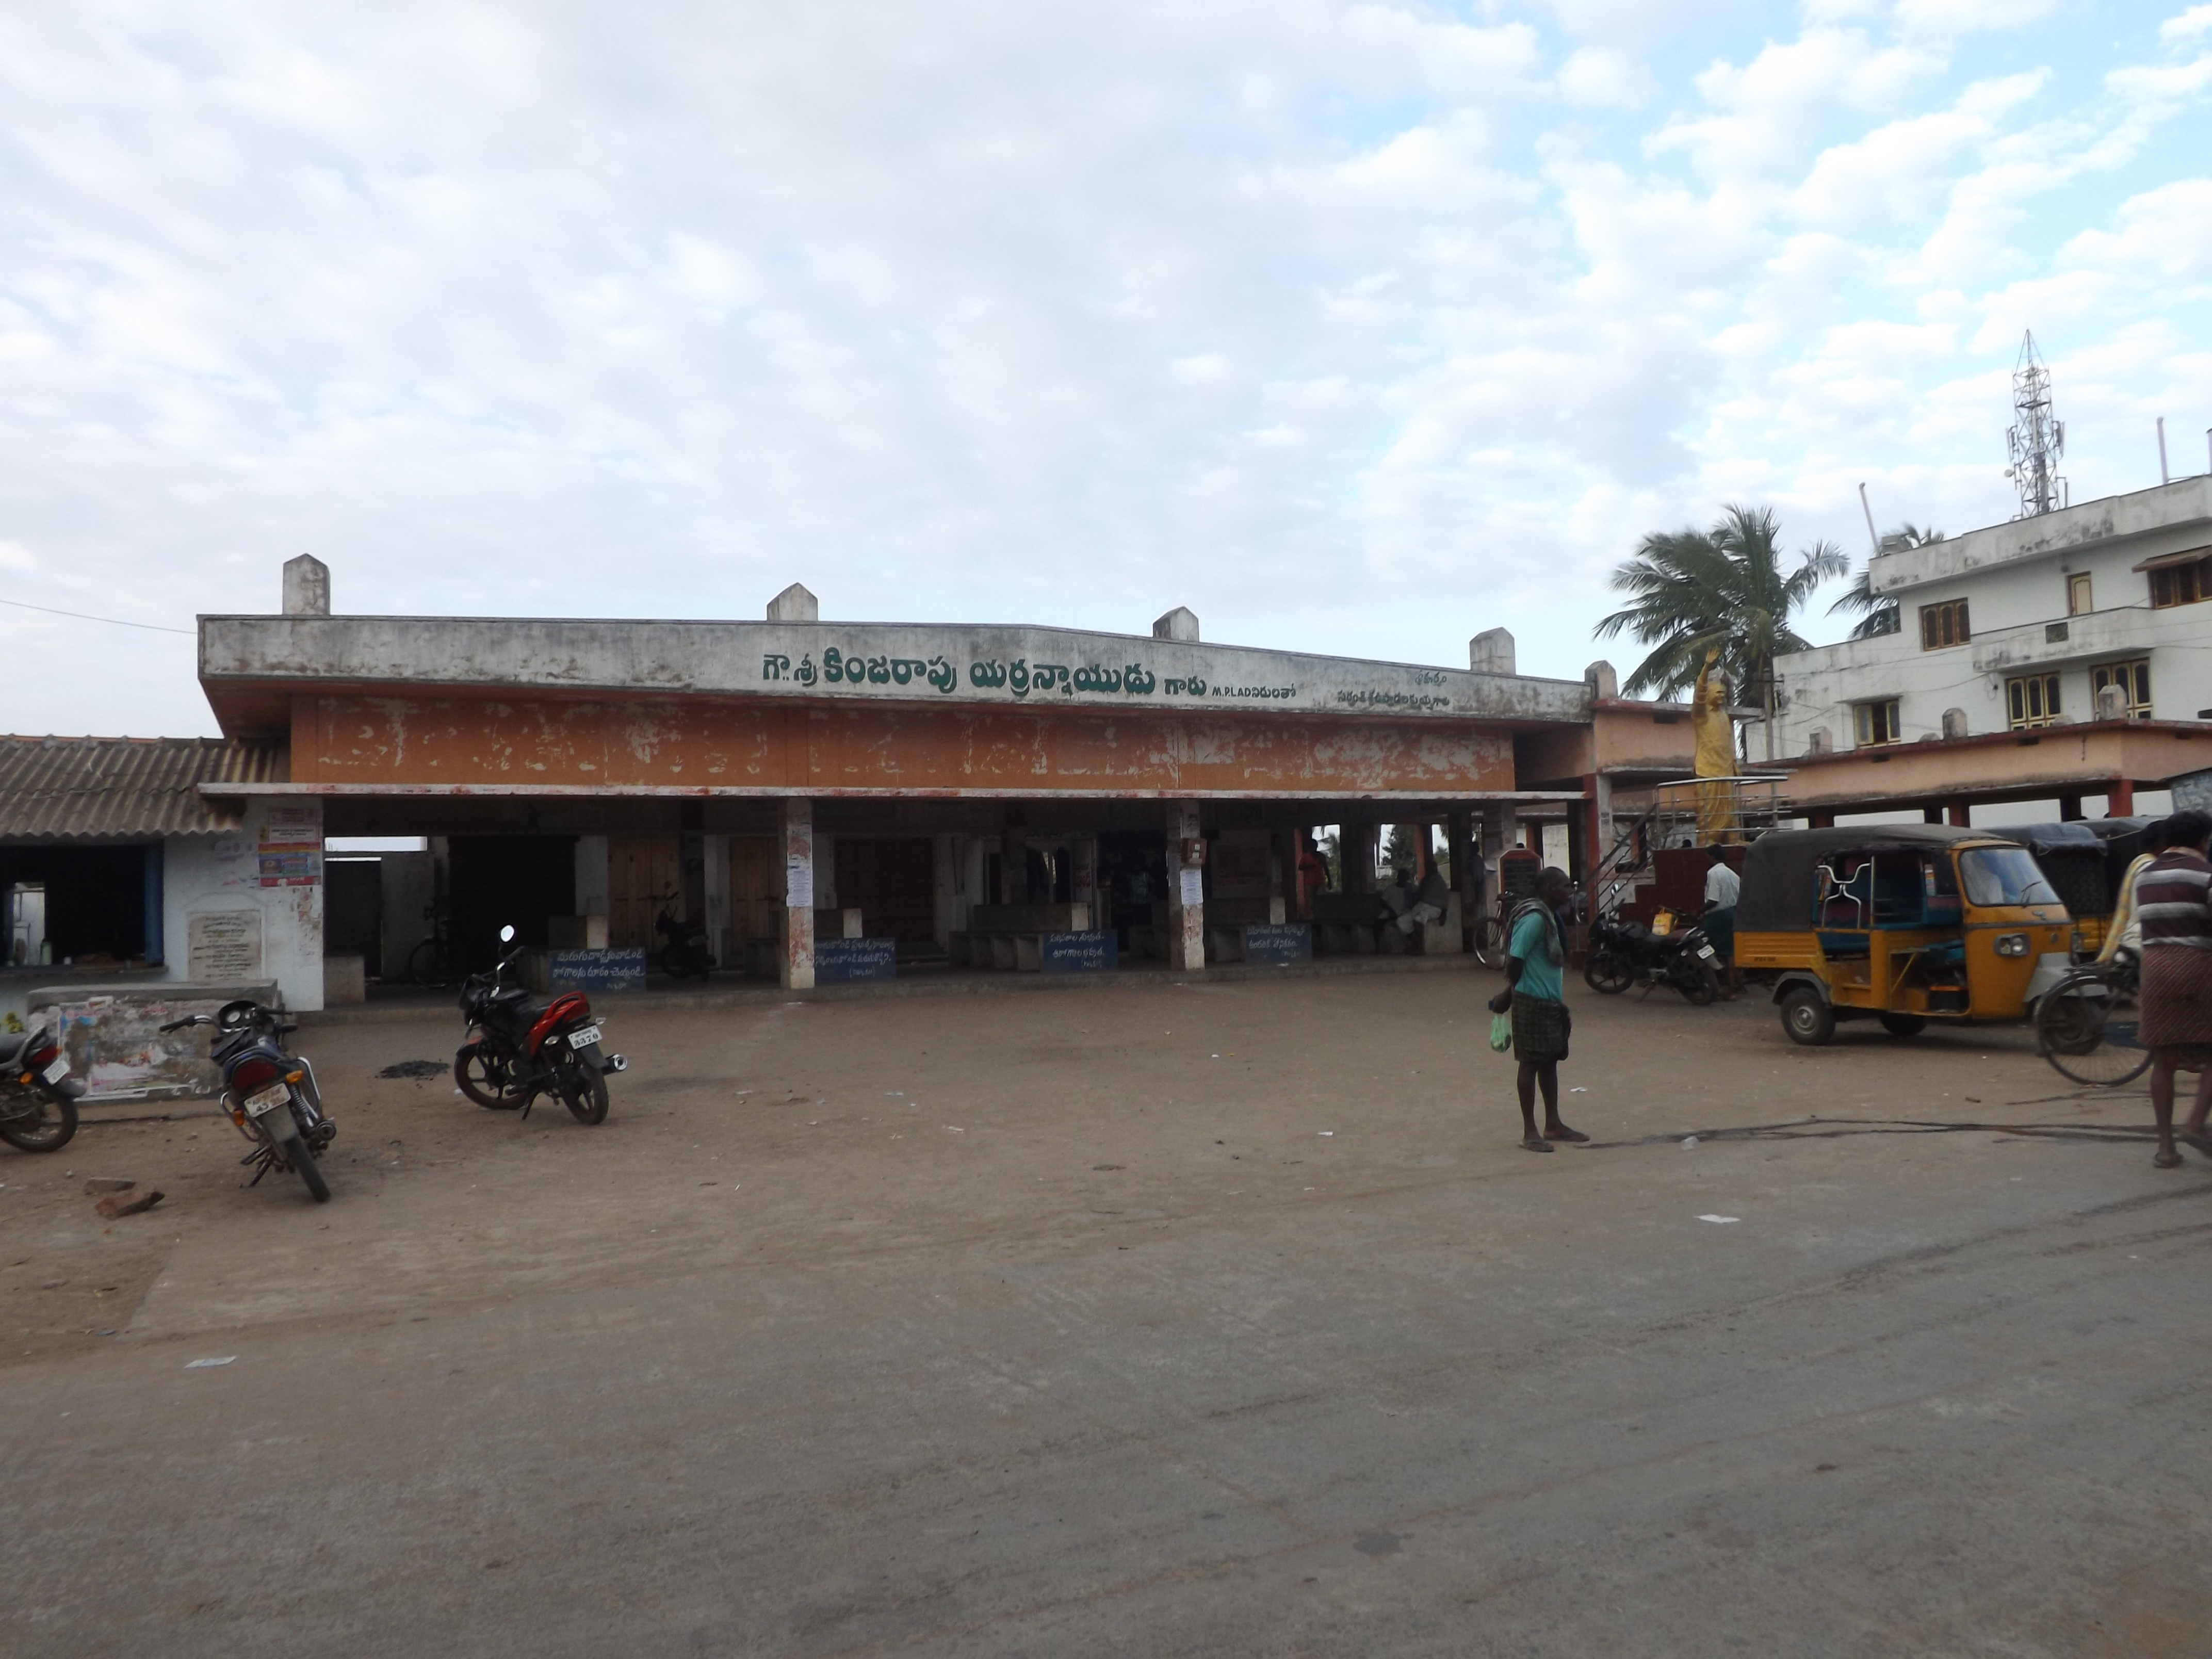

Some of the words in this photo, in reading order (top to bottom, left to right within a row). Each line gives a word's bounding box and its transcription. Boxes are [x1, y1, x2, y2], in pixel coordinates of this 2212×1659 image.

[761, 650, 819, 689] గౌ..శ్రీ
[818, 641, 958, 696] కింజరాపు
[965, 652, 1159, 701] యర్రన్నాయుడు
[1160, 673, 1208, 698] గారు
[554, 947, 645, 966] మరుగుదొడ్లనివాడండి
[584, 962, 613, 980] దూరం
[606, 964, 645, 980] చేయండి.